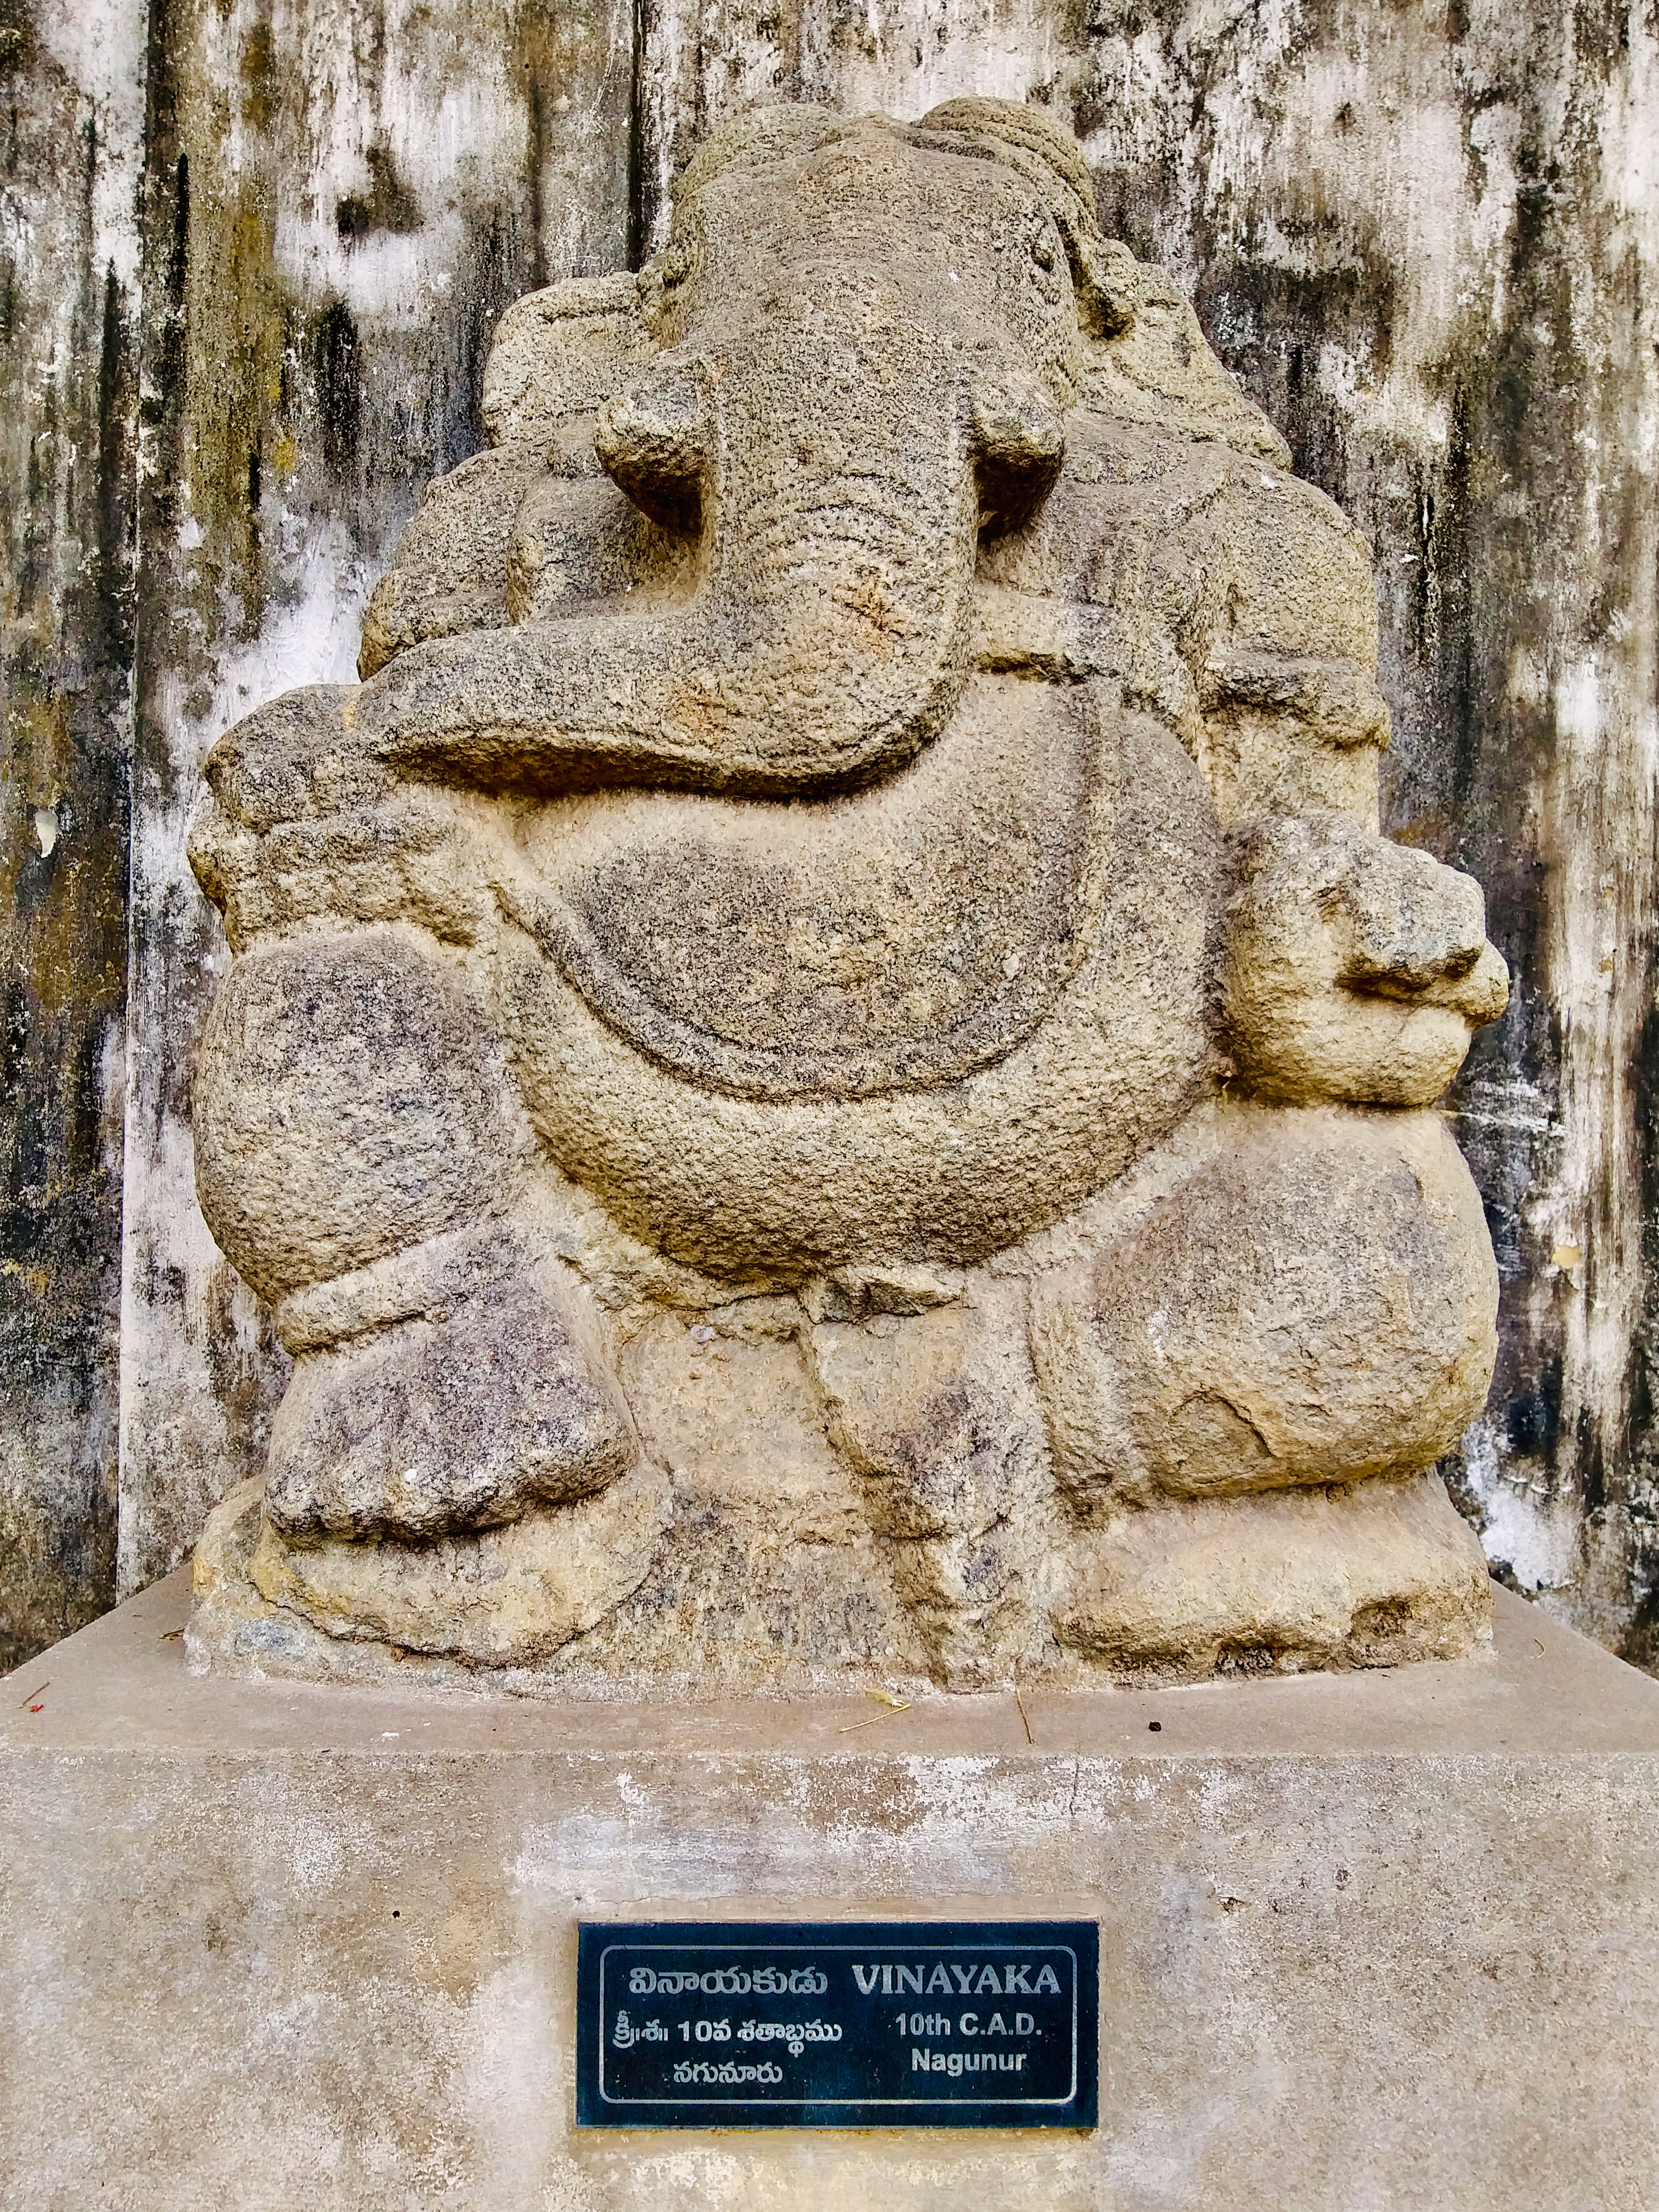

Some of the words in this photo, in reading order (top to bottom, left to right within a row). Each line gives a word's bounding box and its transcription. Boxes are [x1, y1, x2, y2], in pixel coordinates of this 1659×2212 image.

[627, 1958, 830, 1997] వినాయకుడు
[850, 1962, 1063, 1998] VINAYAKA
[609, 2007, 672, 2052] క్రీ॥శ॥
[678, 2015, 733, 2046] 10వ
[735, 2018, 844, 2060] శతాబ్థము
[893, 2007, 954, 2038] 10th
[955, 2008, 1040, 2040] C.A.D.
[669, 2056, 785, 2086] నగునూరు
[907, 2046, 1033, 2080] Nagunur